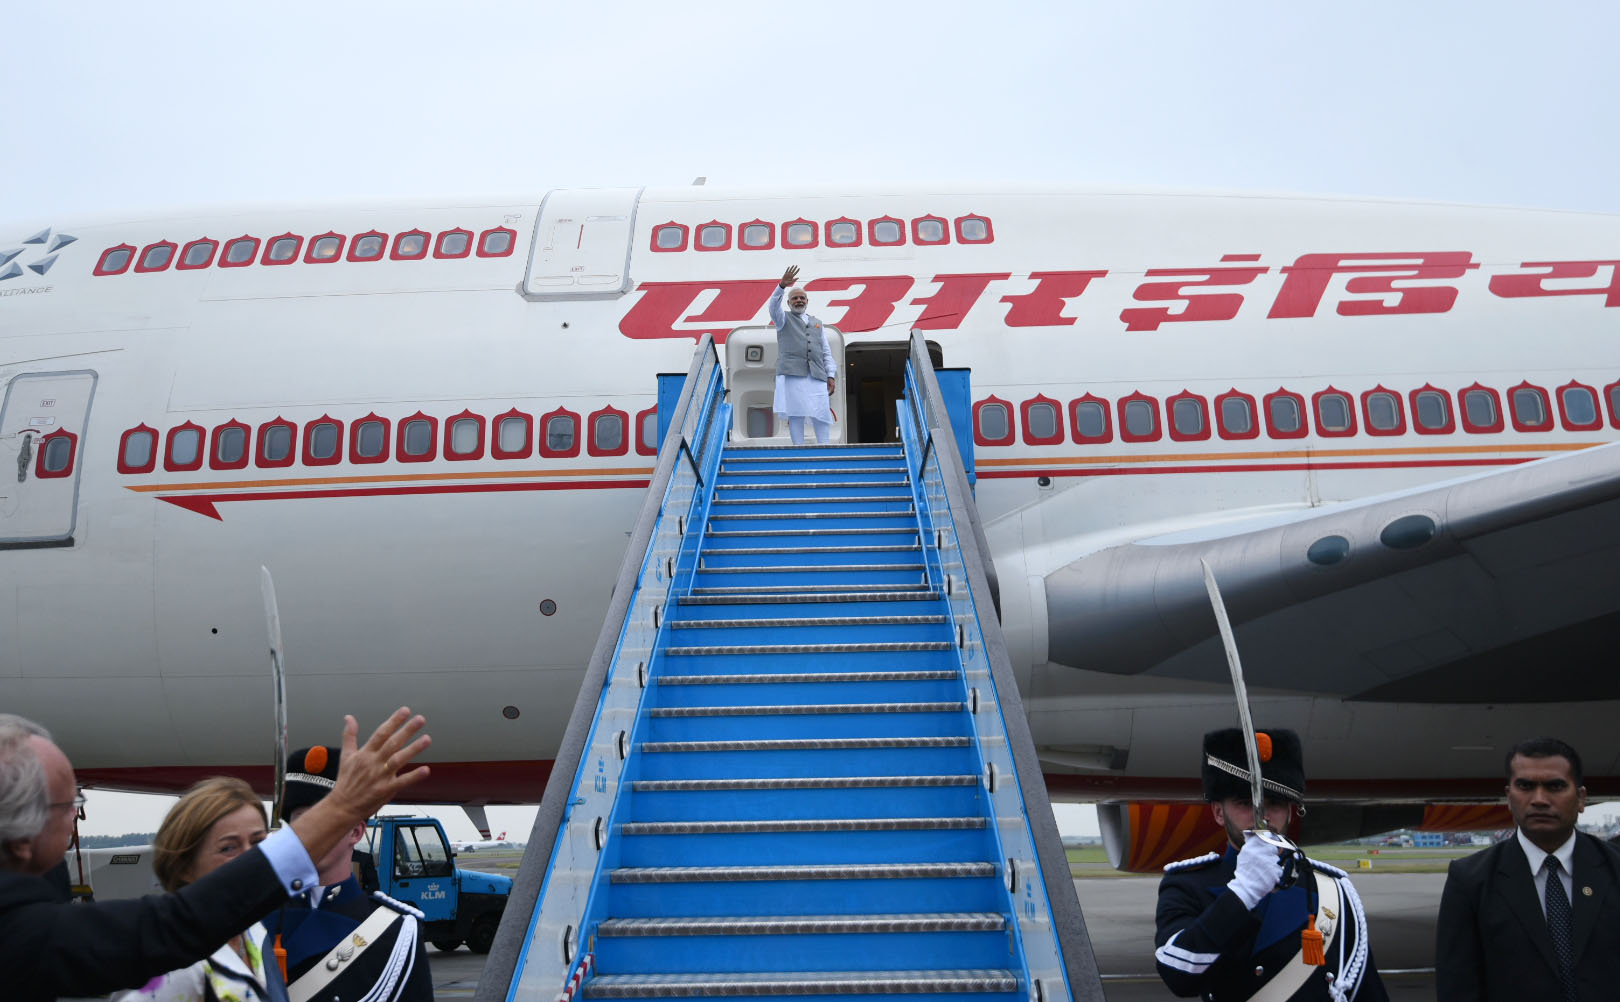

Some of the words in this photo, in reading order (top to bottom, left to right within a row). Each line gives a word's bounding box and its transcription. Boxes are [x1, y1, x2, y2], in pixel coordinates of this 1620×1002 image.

[613, 265, 1111, 352] एअर
[1110, 246, 1618, 337] इंडिय
[419, 888, 451, 905] KLM